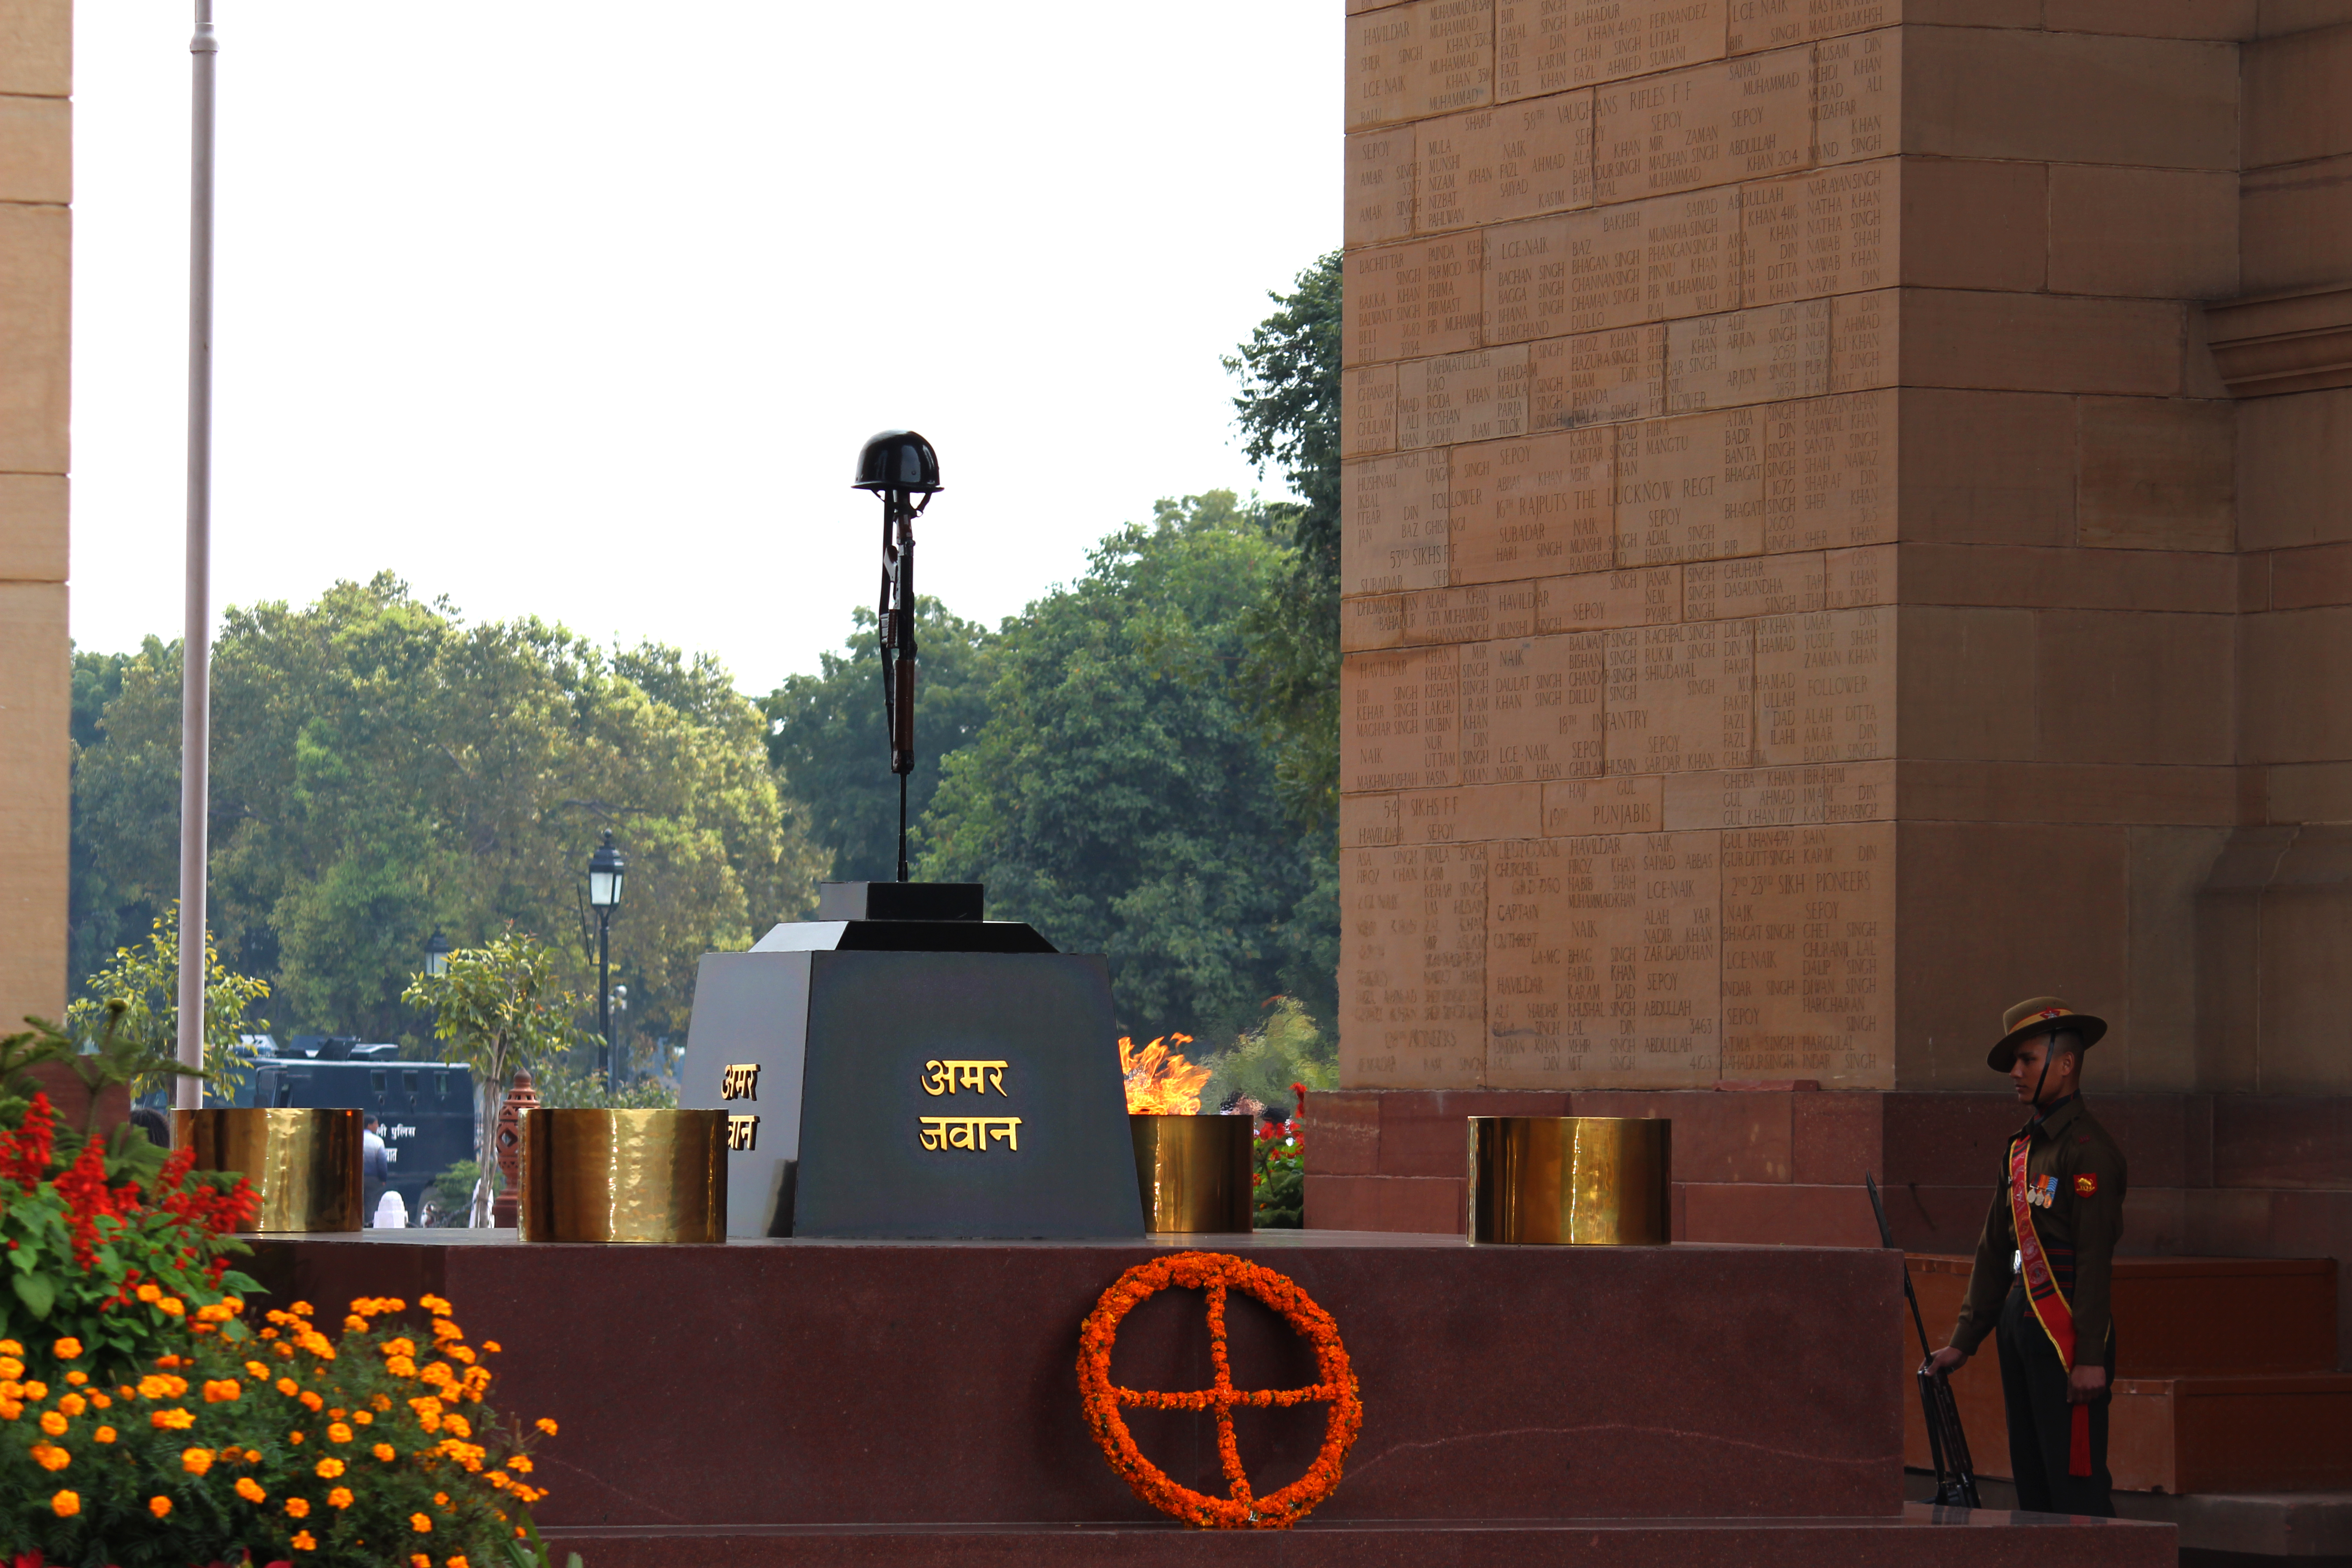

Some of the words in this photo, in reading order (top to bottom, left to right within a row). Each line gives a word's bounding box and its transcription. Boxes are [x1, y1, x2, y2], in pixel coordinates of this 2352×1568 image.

[715, 1061, 760, 1102] अमर
[916, 1058, 1011, 1100] अमर
[724, 1110, 758, 1155] वान
[917, 1114, 1023, 1156] जवान